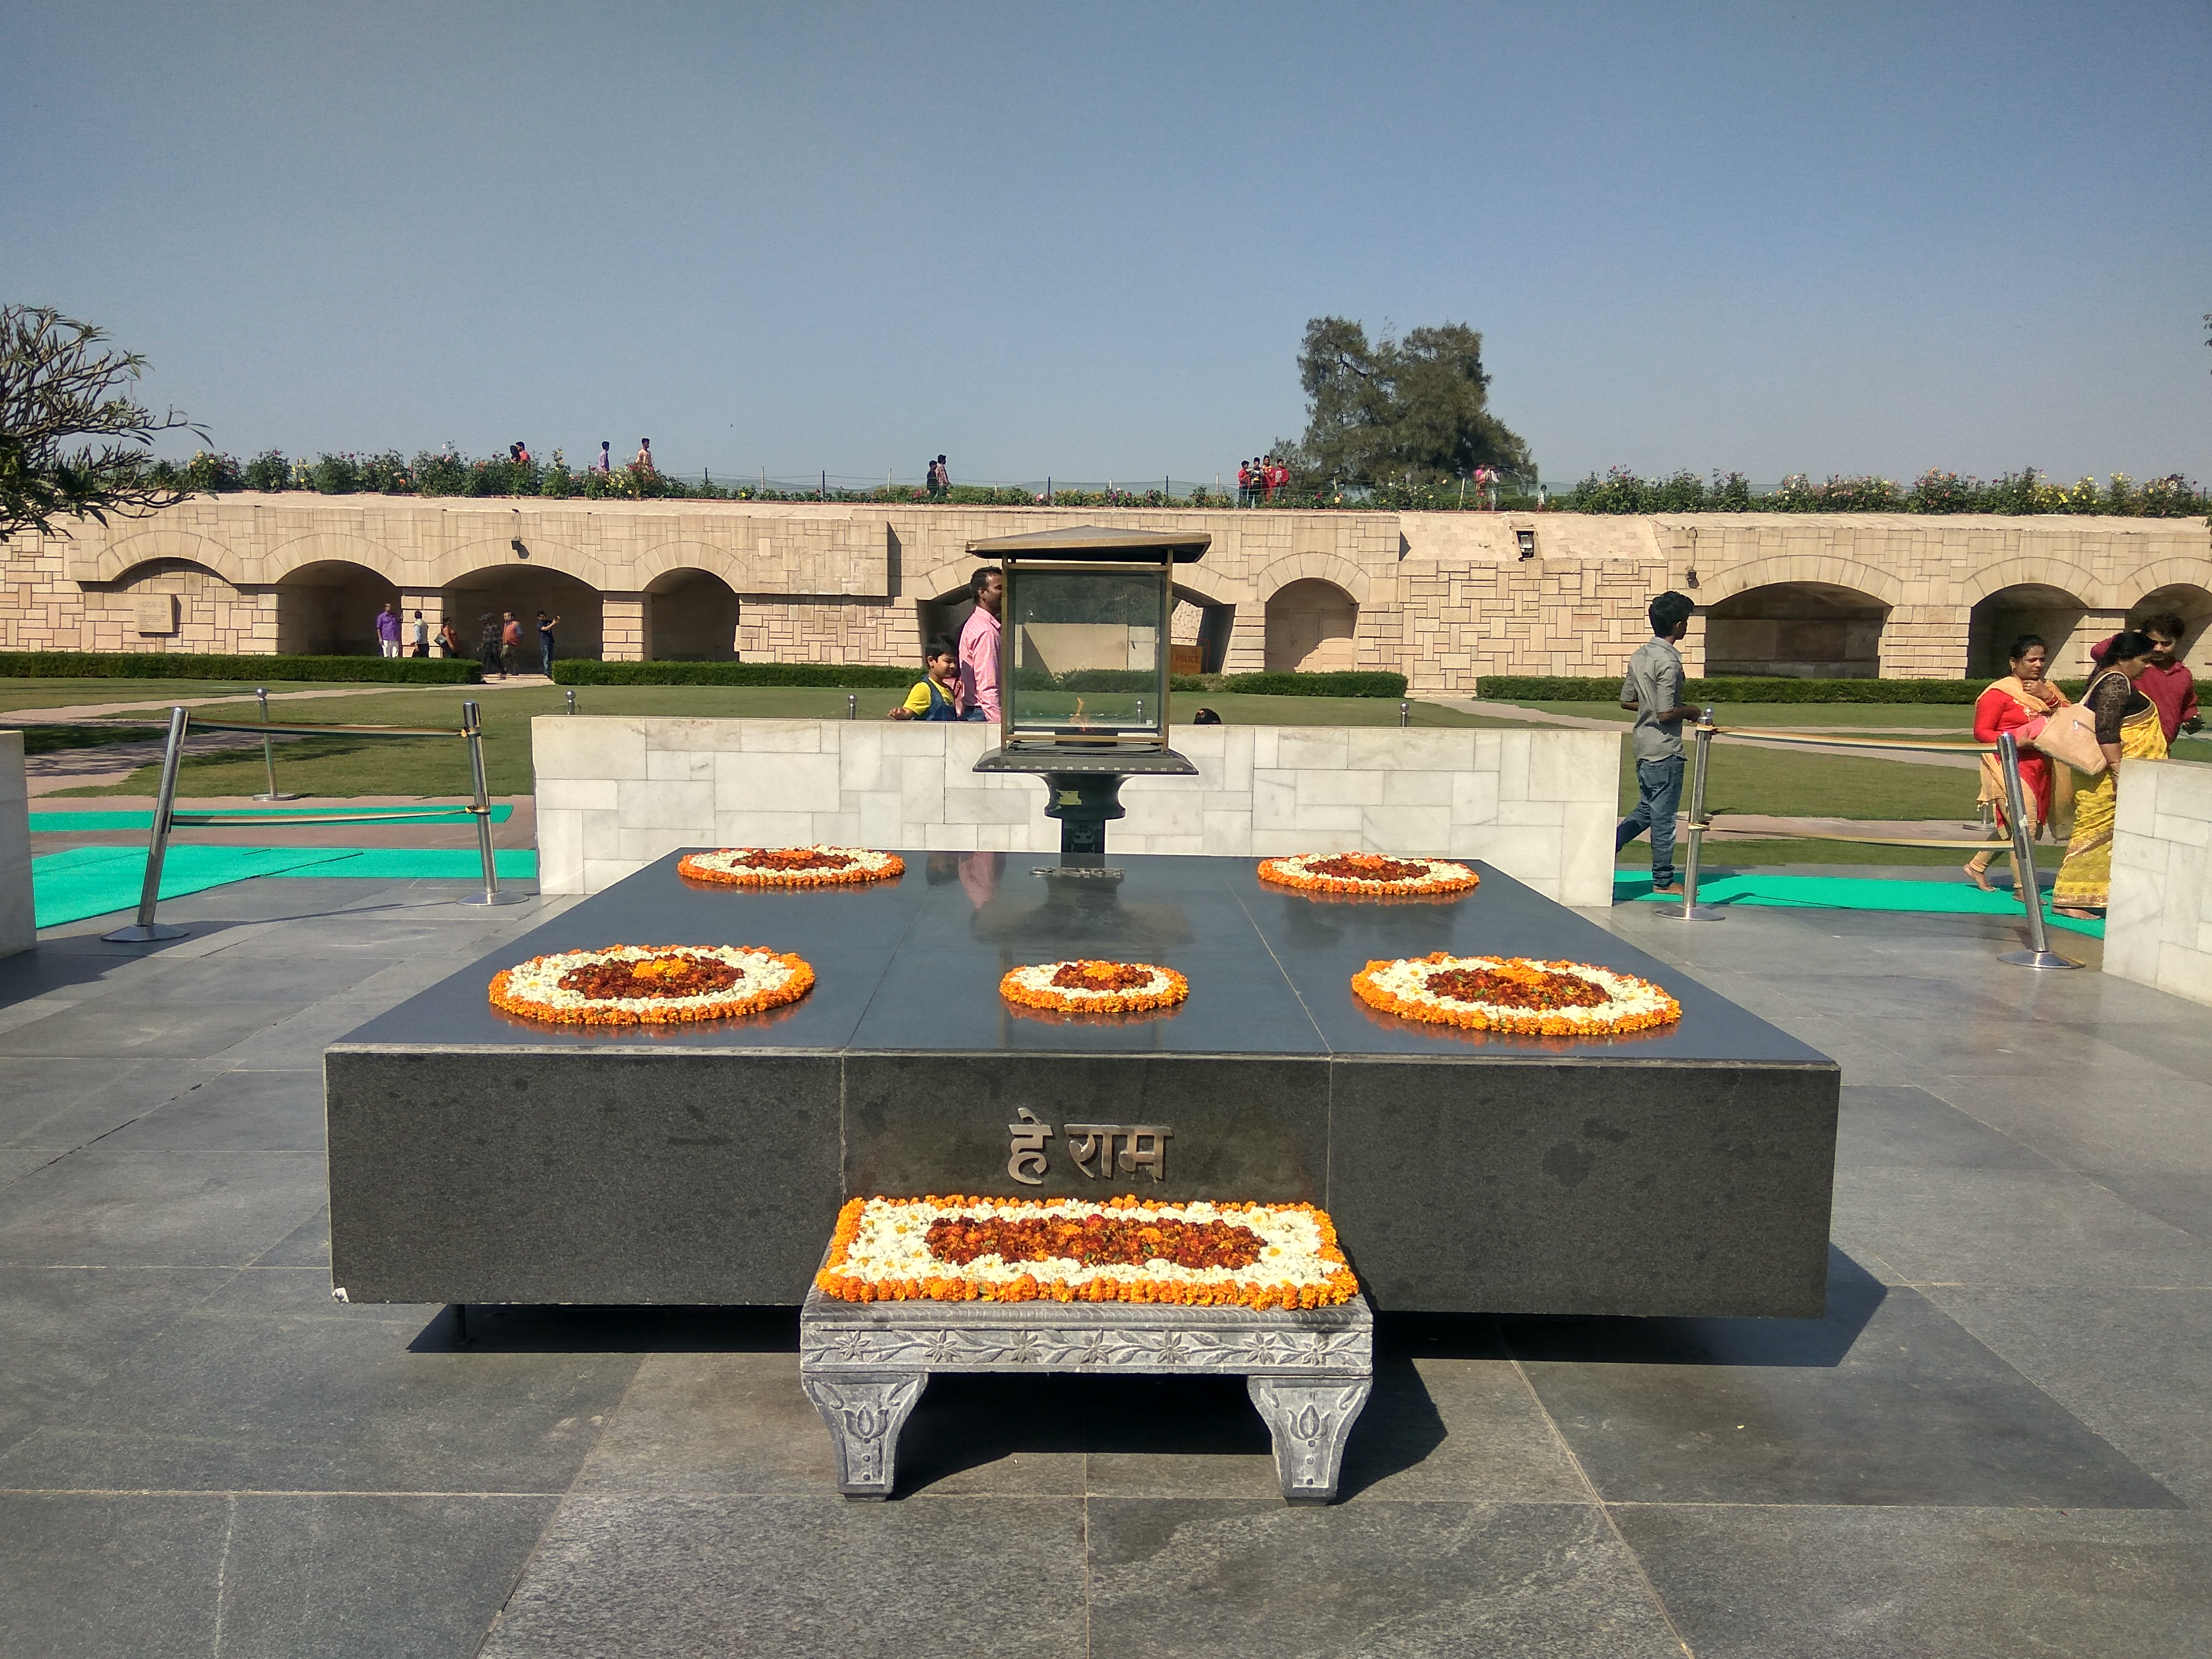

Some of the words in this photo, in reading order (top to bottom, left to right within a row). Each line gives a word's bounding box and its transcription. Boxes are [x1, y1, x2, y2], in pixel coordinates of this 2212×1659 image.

[1007, 1105, 1055, 1185] हे
[1064, 1120, 1175, 1181] राम